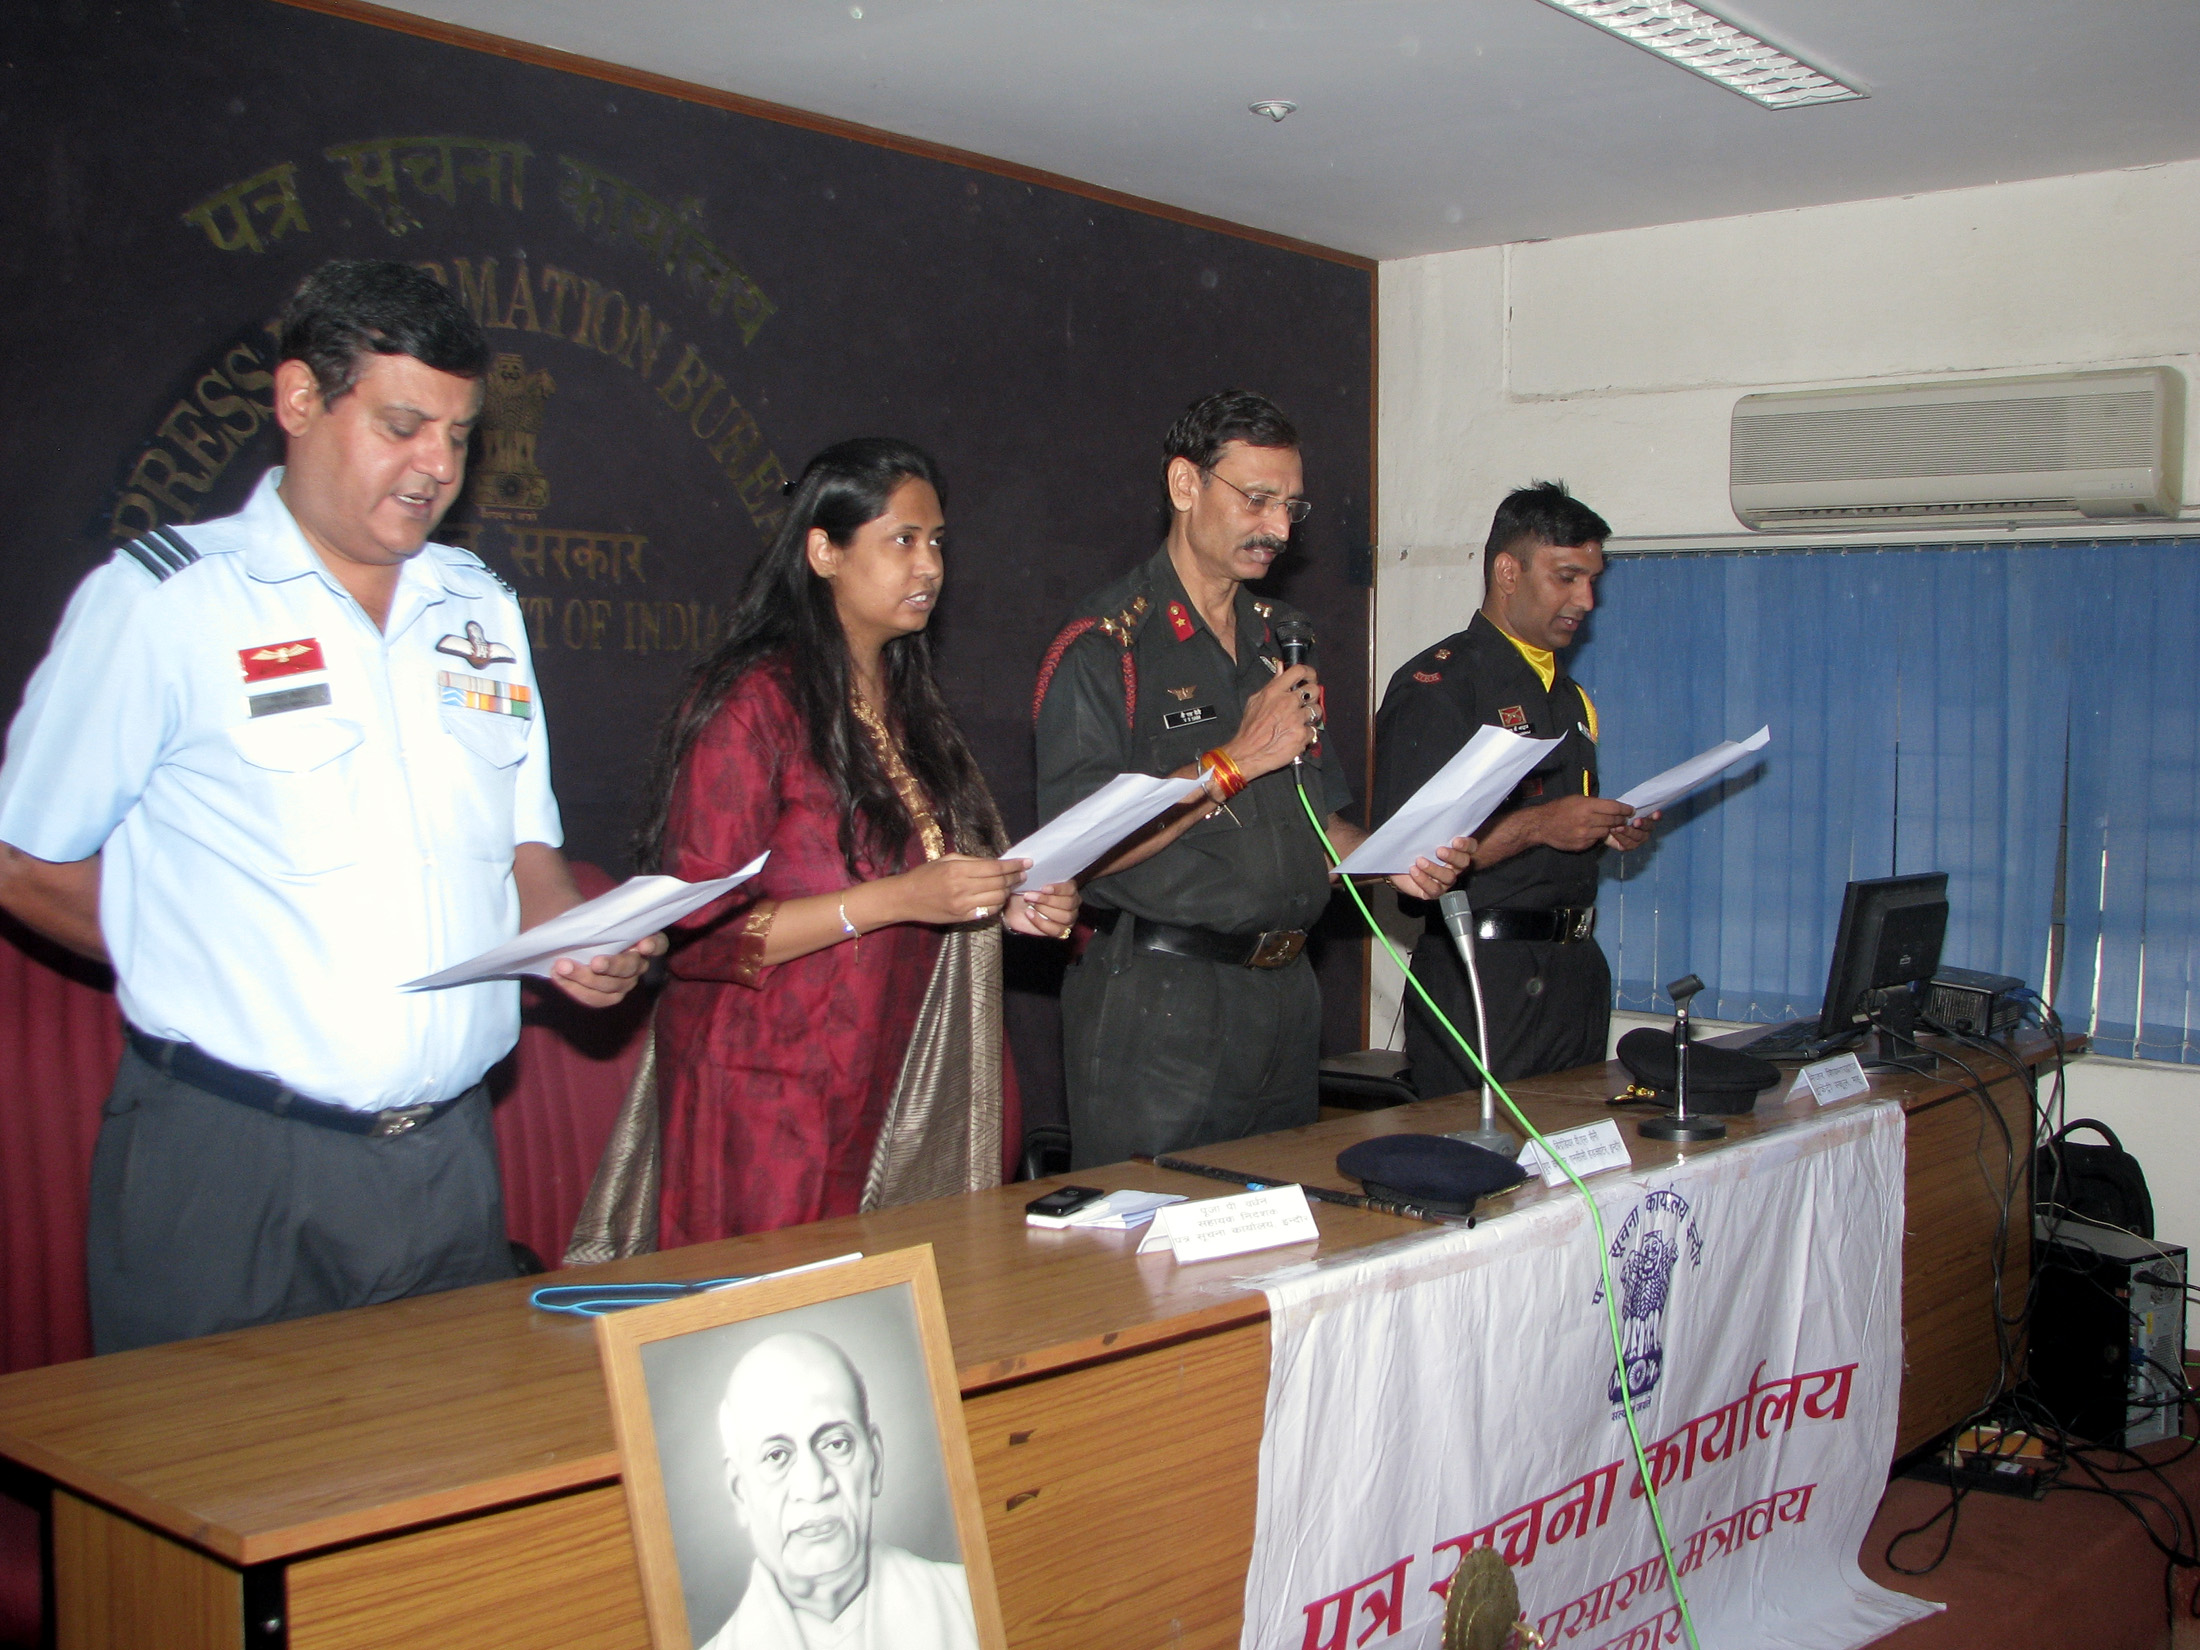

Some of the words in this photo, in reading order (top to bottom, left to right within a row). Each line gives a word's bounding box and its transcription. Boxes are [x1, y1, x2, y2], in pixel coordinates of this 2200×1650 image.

[170, 149, 319, 280] पत्र
[321, 126, 543, 257] सुचना
[547, 152, 793, 362] कार्यालय
[450, 243, 682, 395] MATION
[103, 331, 293, 559] PRESS
[649, 337, 808, 541] BUREA
[501, 515, 660, 589] सरकार
[551, 589, 622, 661] OF
[1193, 1197, 1227, 1224] पूजा
[1193, 1224, 1233, 1246] सूचना
[1192, 1208, 1239, 1235] सहायक
[1239, 1188, 1274, 1212] वर्धन
[1227, 1212, 1286, 1239] कार्यालय
[1237, 1201, 1283, 1227] निदेशक
[1579, 1260, 1618, 1306] प
[1588, 1198, 1646, 1266] सूचना
[1637, 1176, 1698, 1231] कार्यालय
[1675, 1219, 1713, 1278] इन्दौर
[1628, 1348, 1862, 1513] कार्यालय
[1422, 1453, 1624, 1617] सूचना
[1674, 1479, 1824, 1579] मंत्रालय
[1291, 1556, 1413, 1650] पत्र
[1527, 1542, 1678, 1648] प्रसारण